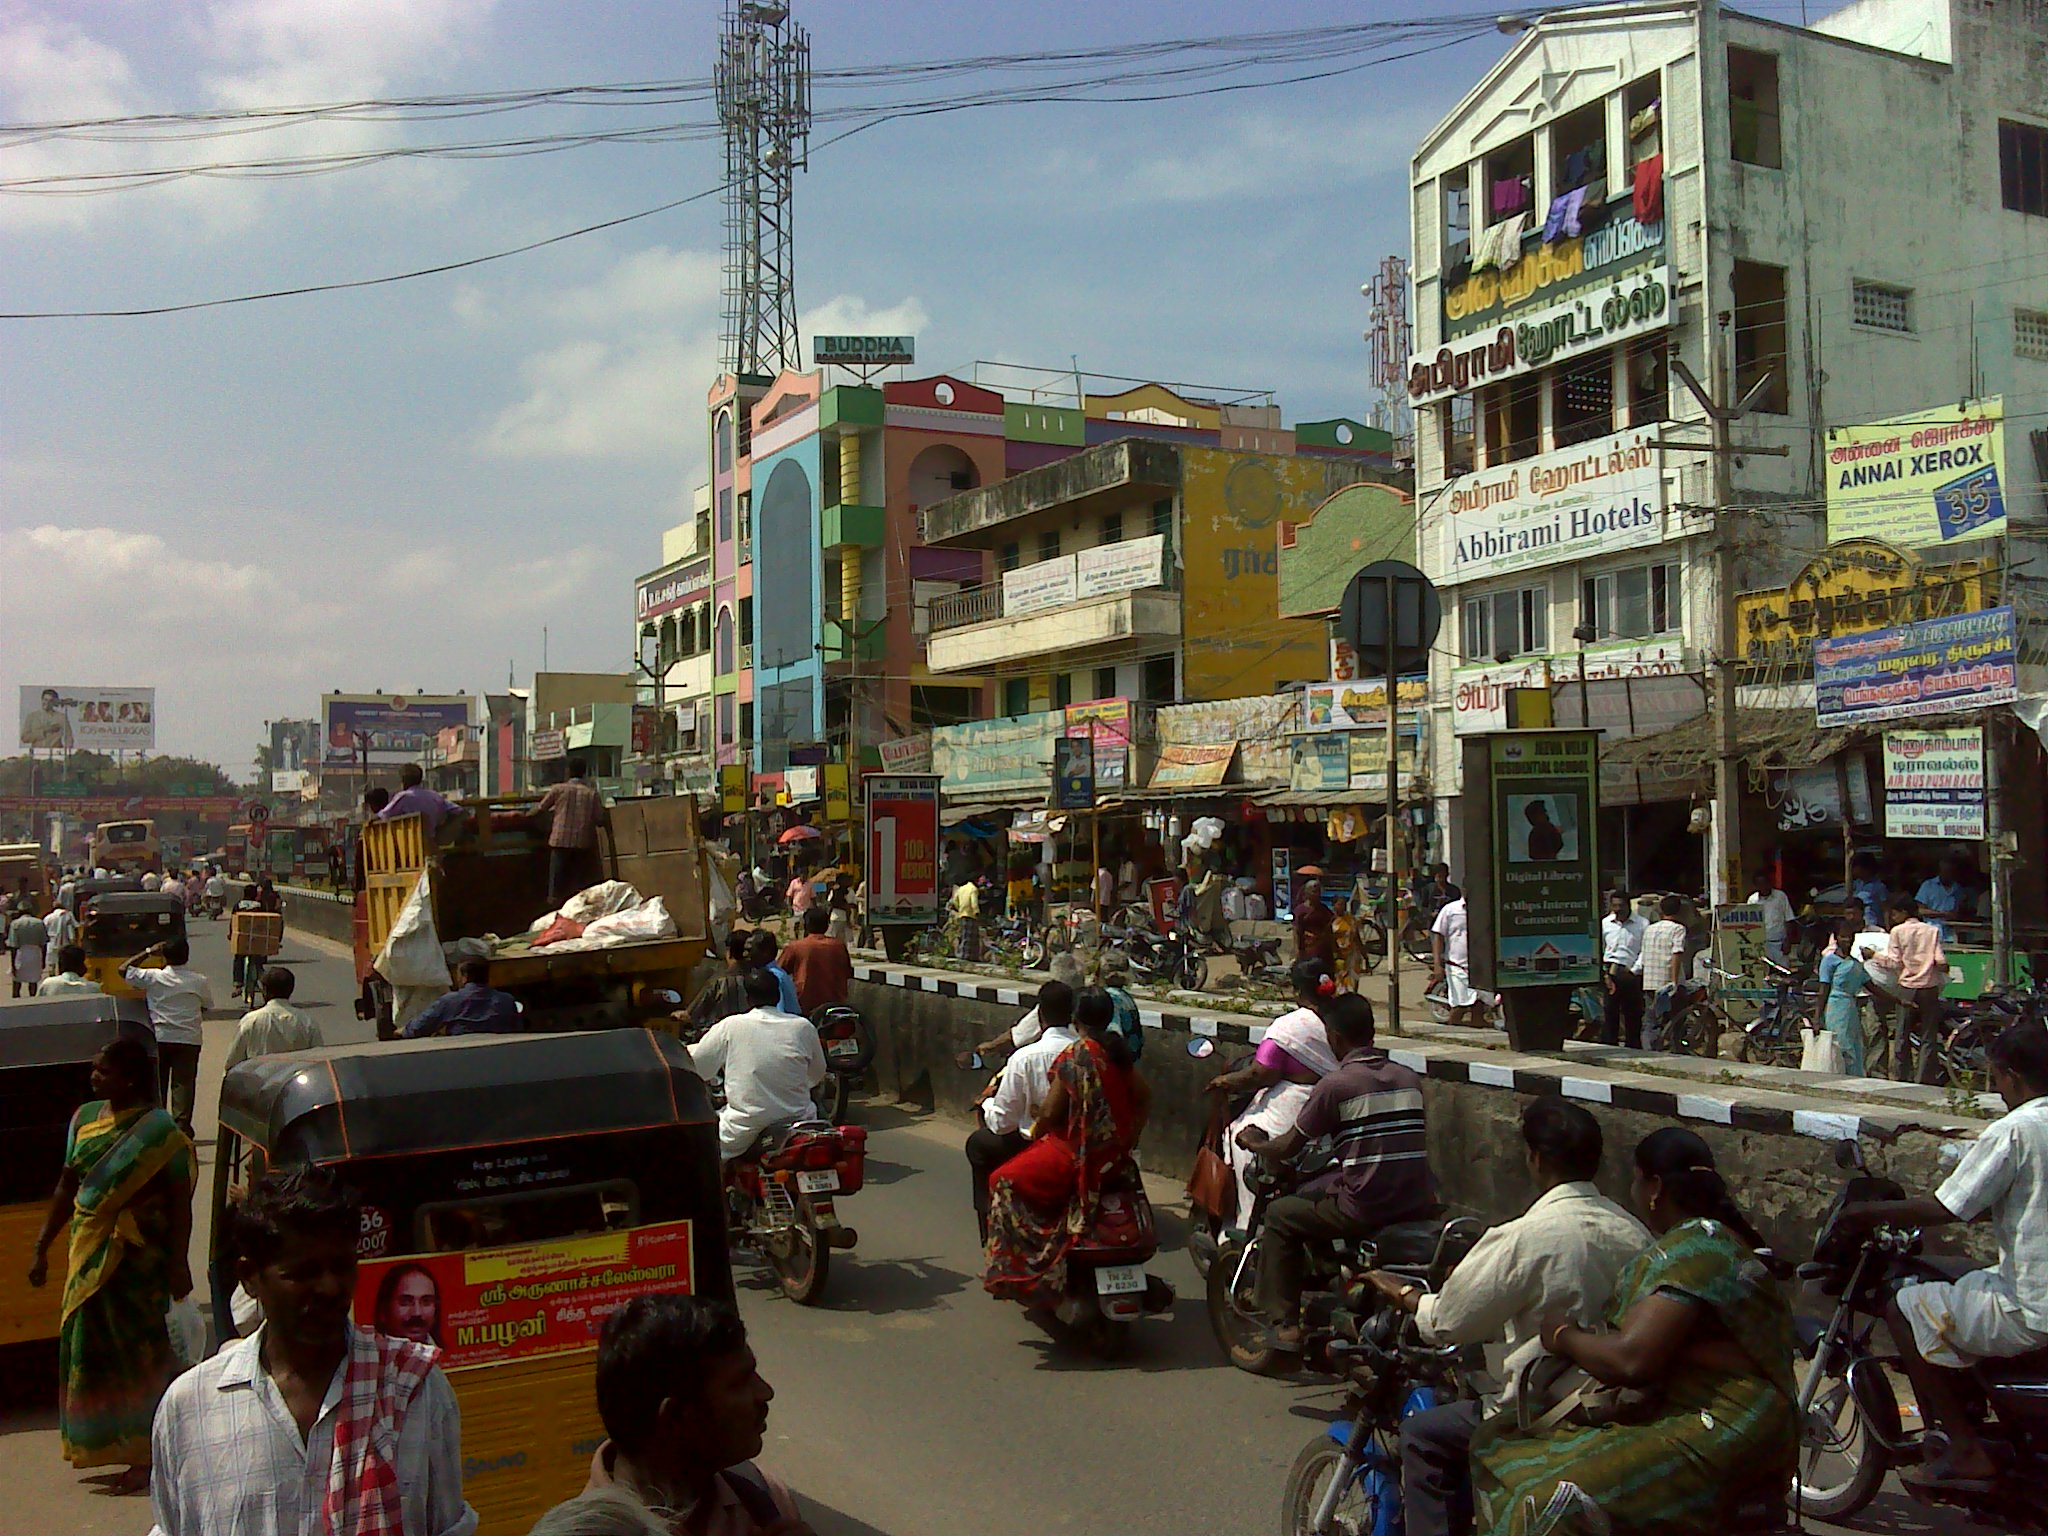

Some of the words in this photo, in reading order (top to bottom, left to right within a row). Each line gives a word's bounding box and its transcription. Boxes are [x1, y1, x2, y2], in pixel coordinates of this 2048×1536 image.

[1502, 266, 1669, 369] ஹோட்டல்ஸ்
[819, 333, 908, 357] BUDDHA
[1402, 323, 1517, 402] அபிராமி
[1905, 405, 2001, 453] ஜெராகஸ்
[1448, 464, 1523, 521] அபிராமி
[1527, 431, 1657, 504] ஹோட்டல்ஸ்
[1829, 431, 1907, 470] அன்னை
[1836, 456, 1908, 495] ANNAI
[1907, 437, 1987, 483] XEROX
[1565, 491, 1658, 541] Hotels
[1451, 508, 1565, 572] Abbirami
[671, 565, 718, 602] காம்பளக்ஸ
[1836, 669, 1927, 711] பெங்களுருக்கு
[1876, 645, 1944, 681] மதுரை
[1918, 660, 2017, 699] இயக்கப்படுகிறது
[1881, 729, 1987, 765] ரேணுகாம்பாள்
[1888, 754, 1983, 774] டிராவல்ஸ்
[471, 1279, 511, 1314] ஸ்ரீ
[453, 1305, 550, 1351] M.பழனி
[547, 1300, 591, 1327] சித்த
[507, 1259, 679, 1309] அருணாச்சலேஸ்வரா